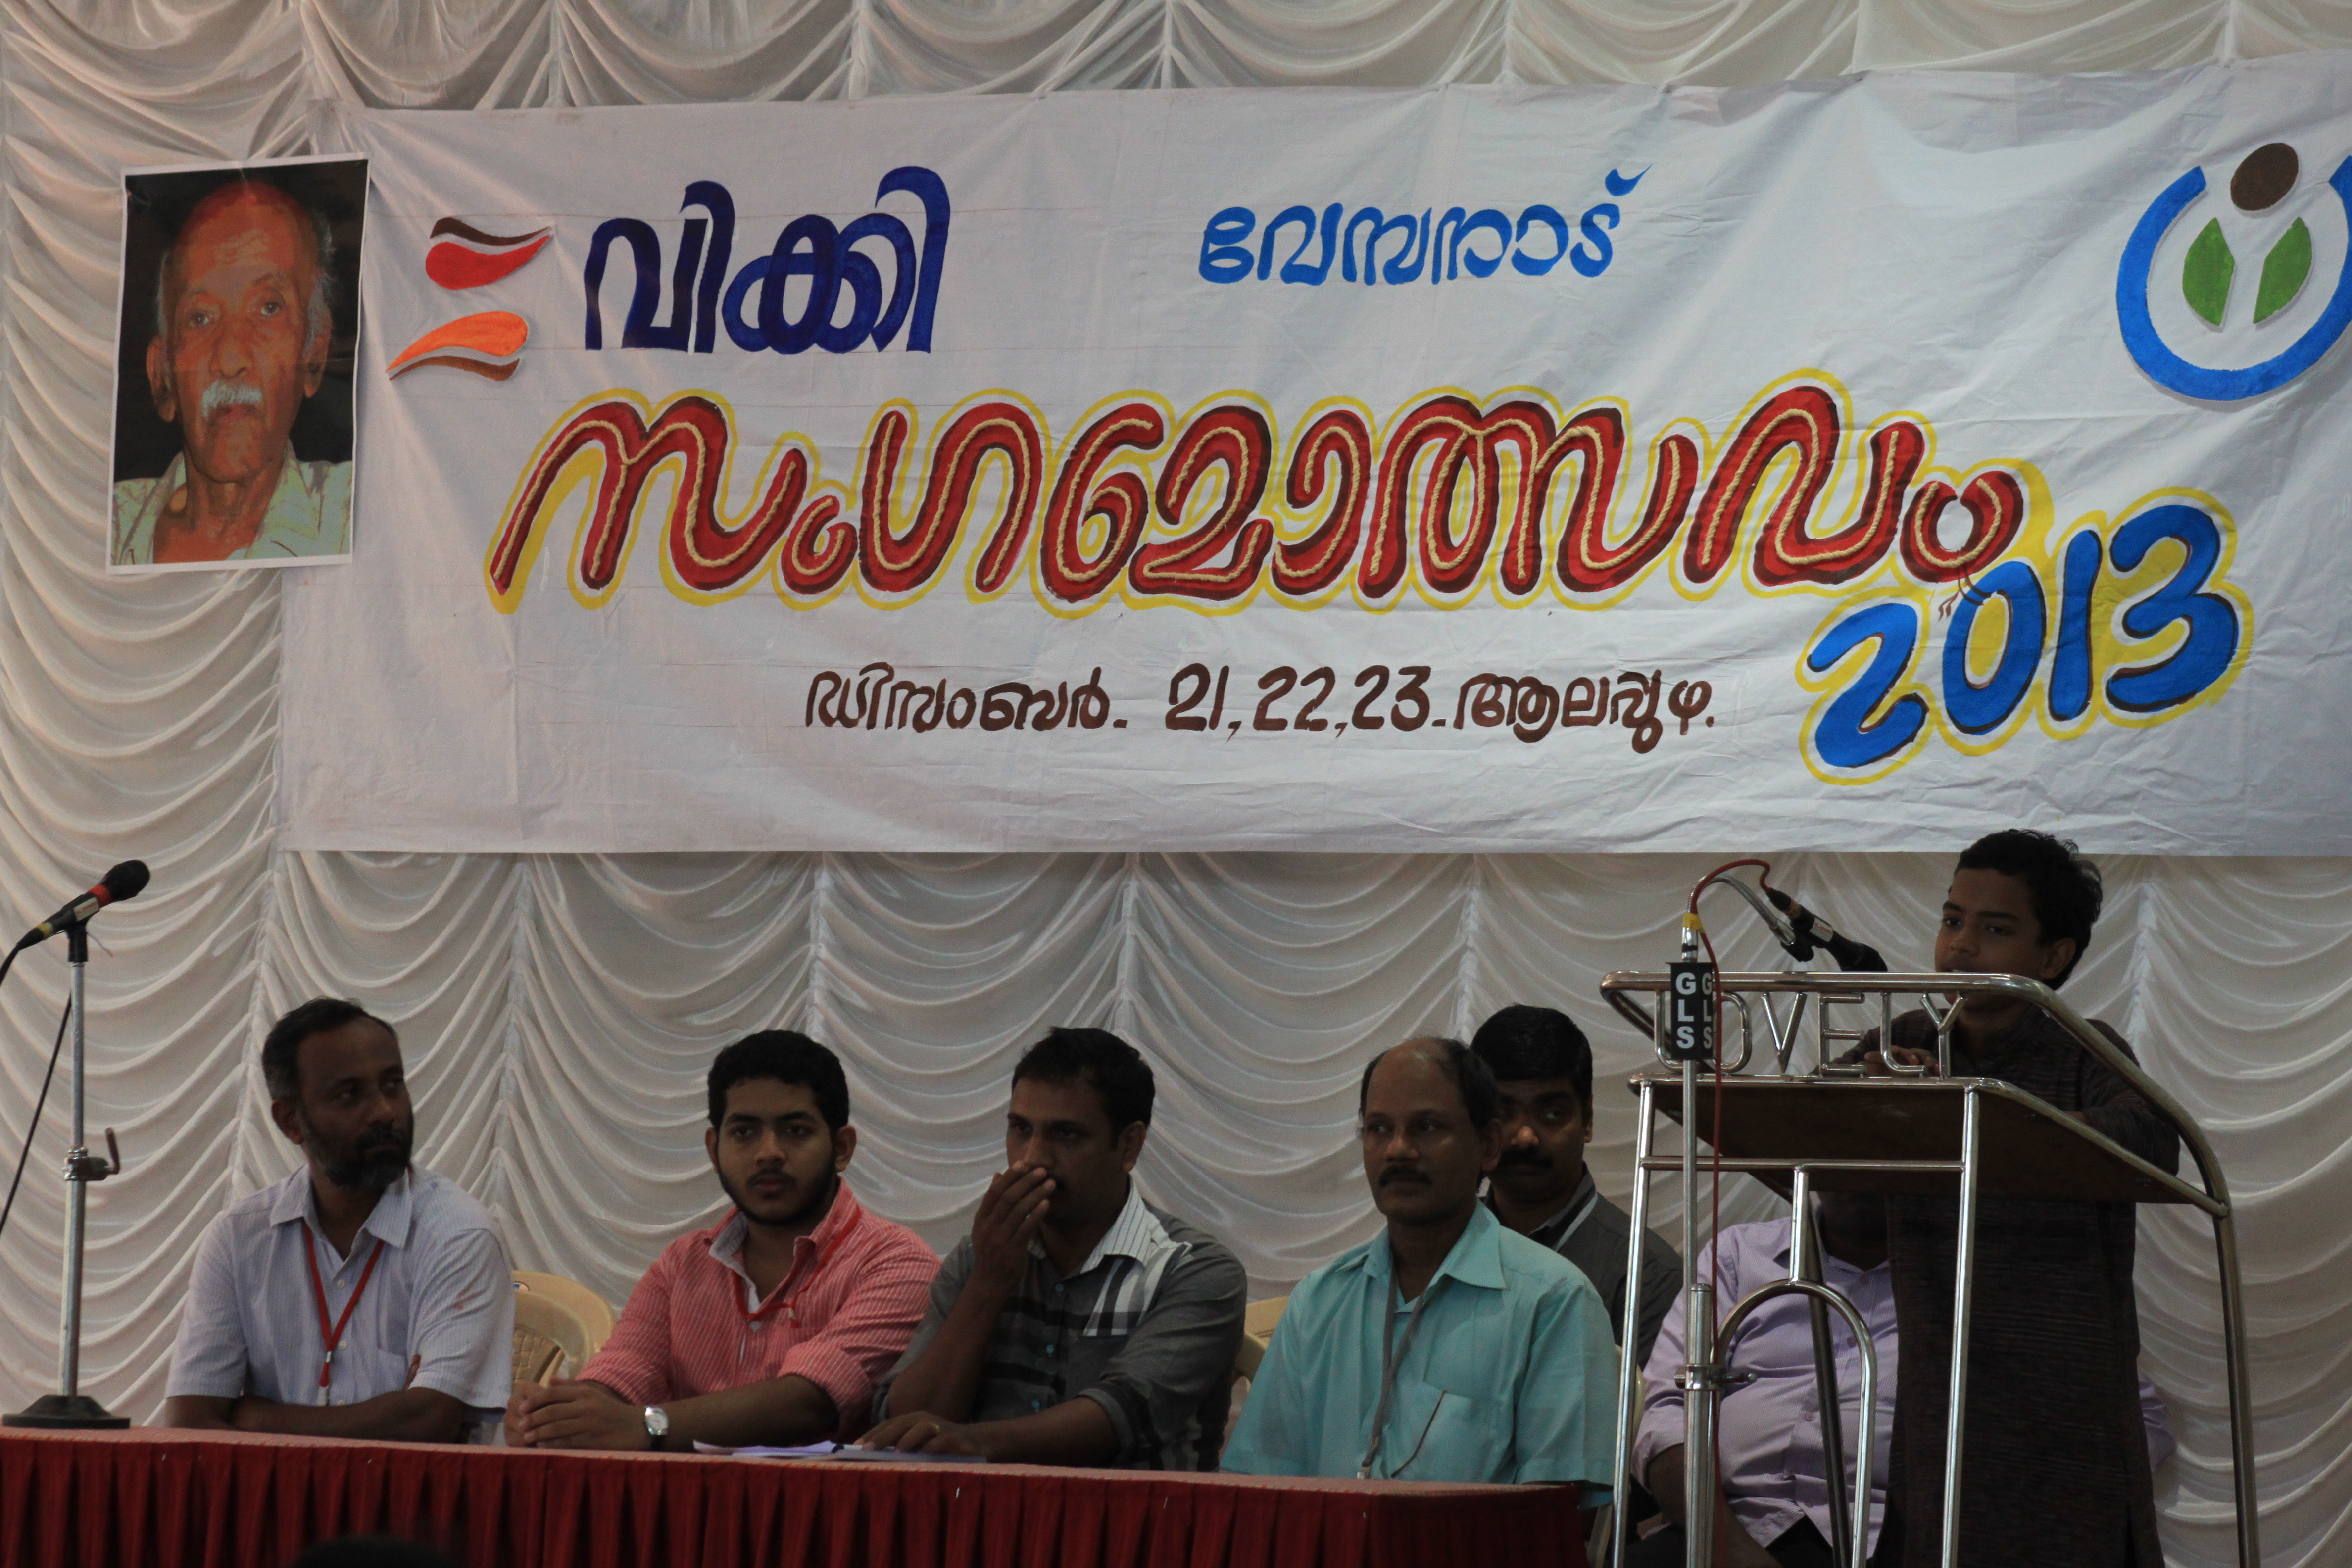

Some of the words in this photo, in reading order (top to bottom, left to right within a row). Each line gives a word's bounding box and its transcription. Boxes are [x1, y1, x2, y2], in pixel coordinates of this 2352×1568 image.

[579, 163, 954, 358] വിക്കി
[1193, 161, 1654, 285] വേമ്പനാട്
[484, 361, 2053, 623] സംഗമോത്സവം
[800, 648, 1119, 734] ഡിസംബർ
[1159, 655, 1434, 734] 21,22,23
[1443, 660, 1719, 758] ആലപ്പുഴ
[1783, 496, 2245, 778] 2013